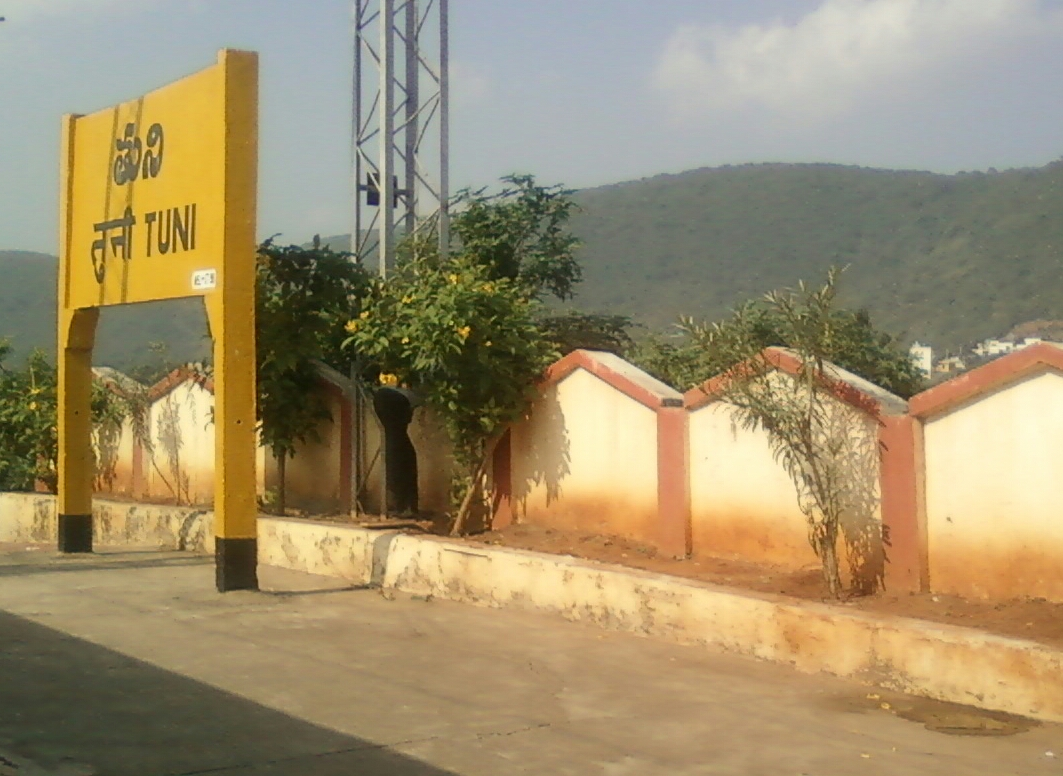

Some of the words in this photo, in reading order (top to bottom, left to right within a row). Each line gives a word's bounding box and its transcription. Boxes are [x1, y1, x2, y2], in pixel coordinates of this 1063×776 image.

[105, 115, 169, 189] తుని
[88, 199, 141, 289] तुनी
[141, 200, 199, 259] TUNI